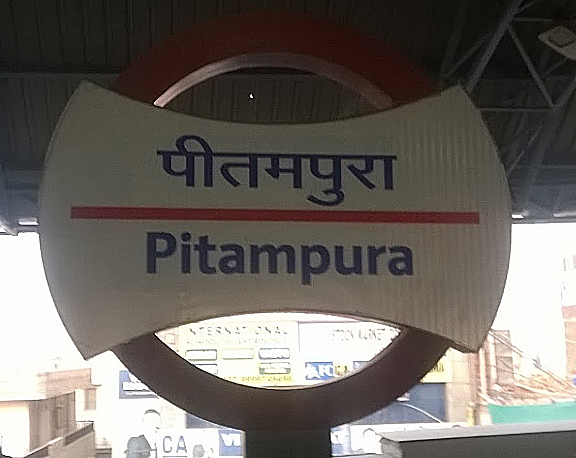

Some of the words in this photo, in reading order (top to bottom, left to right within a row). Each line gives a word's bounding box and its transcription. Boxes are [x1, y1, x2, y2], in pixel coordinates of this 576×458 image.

[154, 130, 397, 207] पीतमपुरा
[145, 230, 416, 287] Pitampura